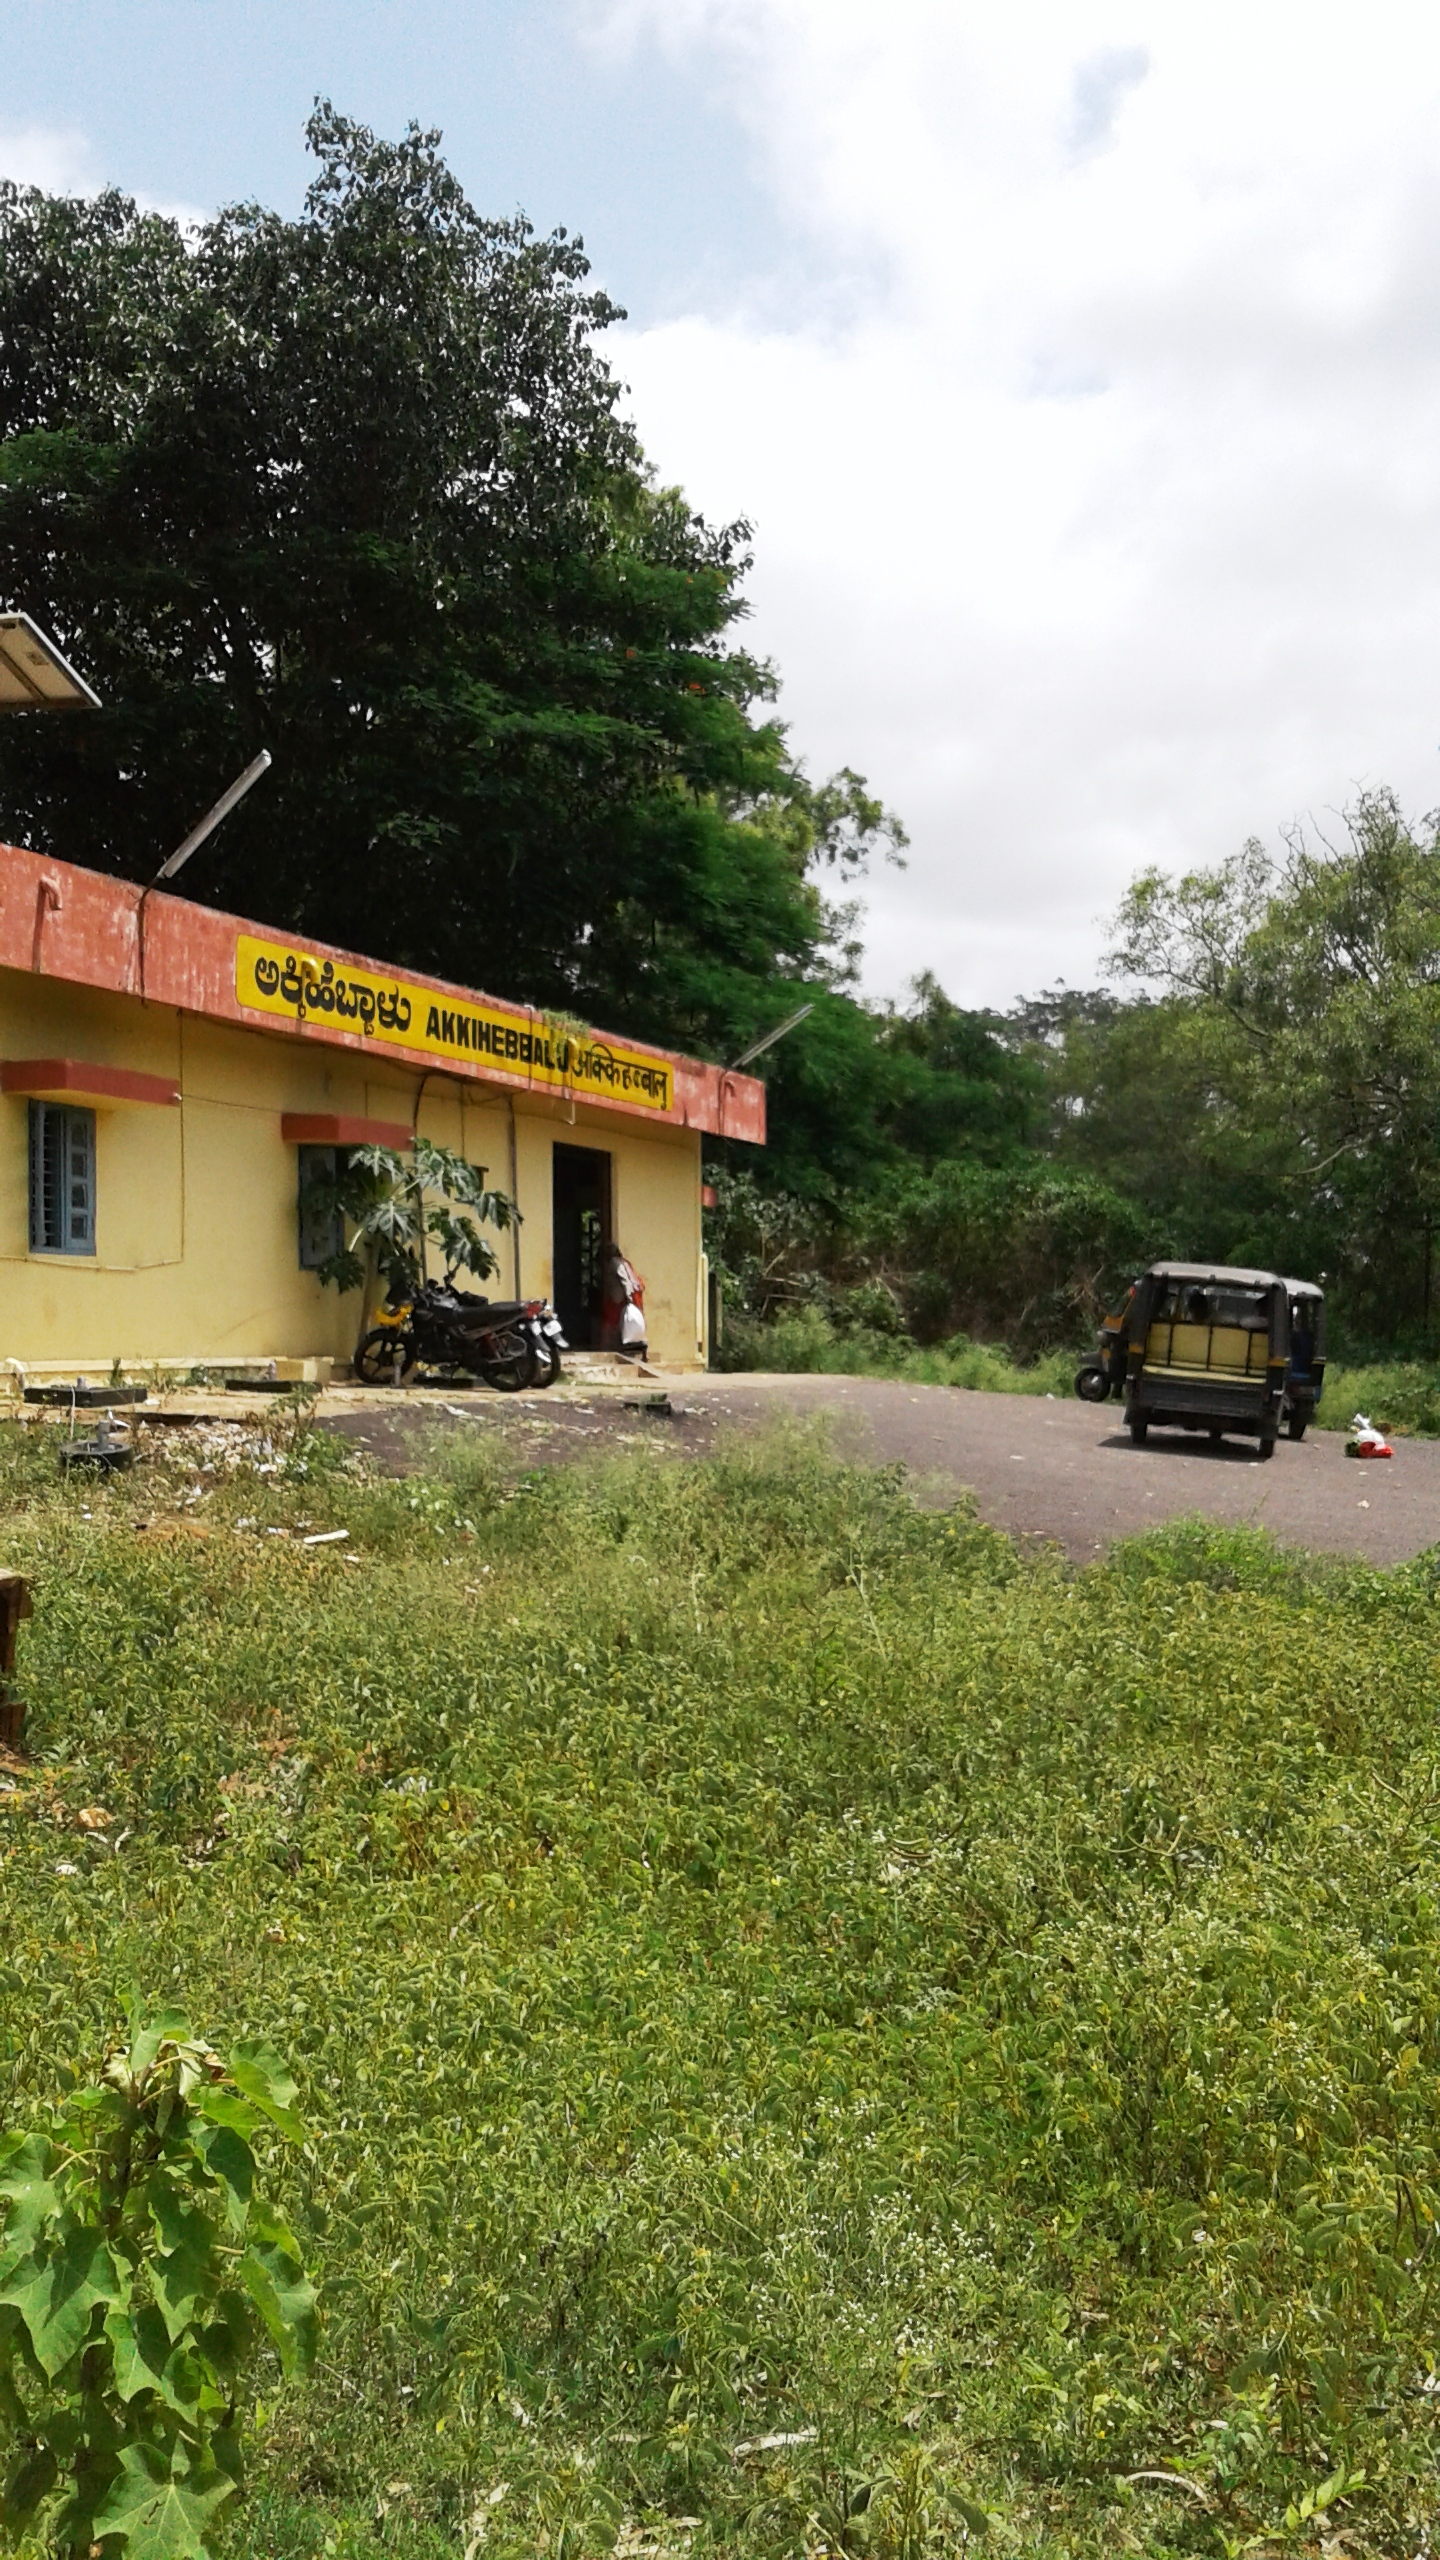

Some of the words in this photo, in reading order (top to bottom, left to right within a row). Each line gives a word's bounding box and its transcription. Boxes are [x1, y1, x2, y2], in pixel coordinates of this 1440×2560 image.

[251, 946, 418, 1041] ಅಕ್ಕಿಹೆಬ್ಬಾಳು
[423, 1000, 573, 1075] AKKIHEBBALJ
[564, 1032, 670, 1111] अक्किहब्बालु